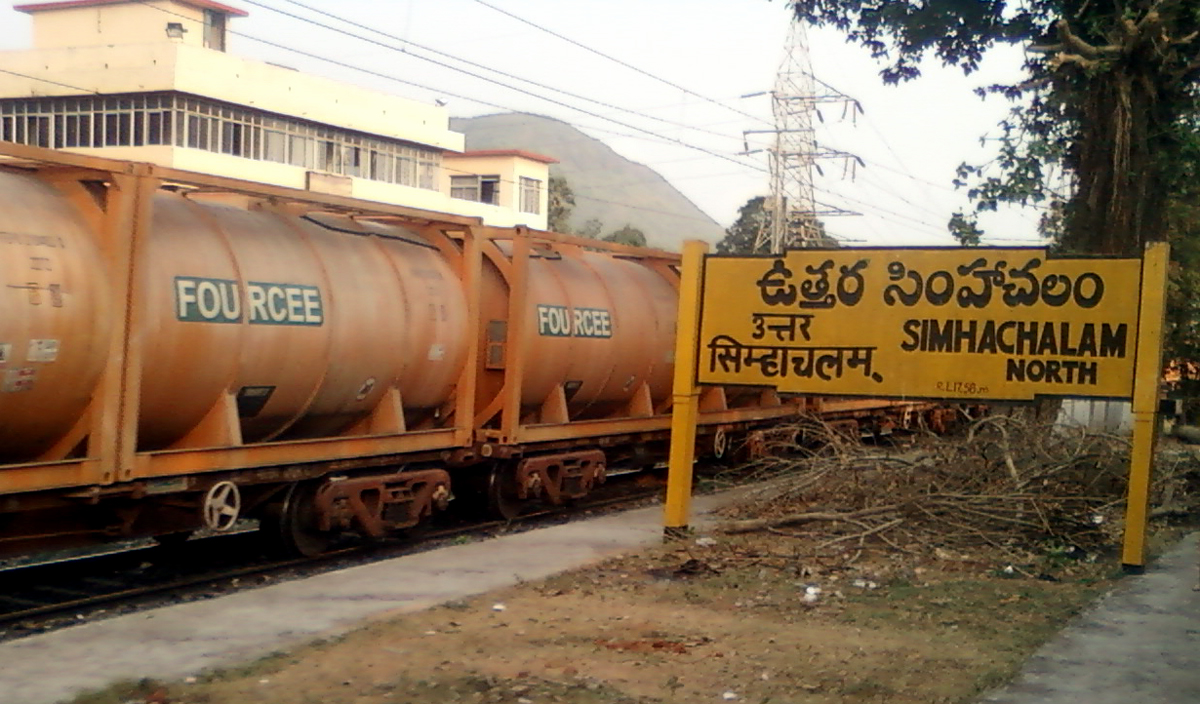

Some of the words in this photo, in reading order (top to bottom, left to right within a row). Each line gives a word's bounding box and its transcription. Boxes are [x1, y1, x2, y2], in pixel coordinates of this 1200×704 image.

[167, 272, 247, 332] FOU
[239, 279, 326, 327] RCEE
[533, 298, 573, 338] FOU
[571, 305, 616, 342] RCEE
[747, 304, 819, 347] उत्तर
[702, 323, 886, 387] सिम्हाचलम्
[752, 251, 877, 312] ఉత్తర
[879, 251, 1113, 315] సింహాచలం
[893, 315, 1132, 366] SIMHACHALAM
[1003, 354, 1100, 390] NORTH